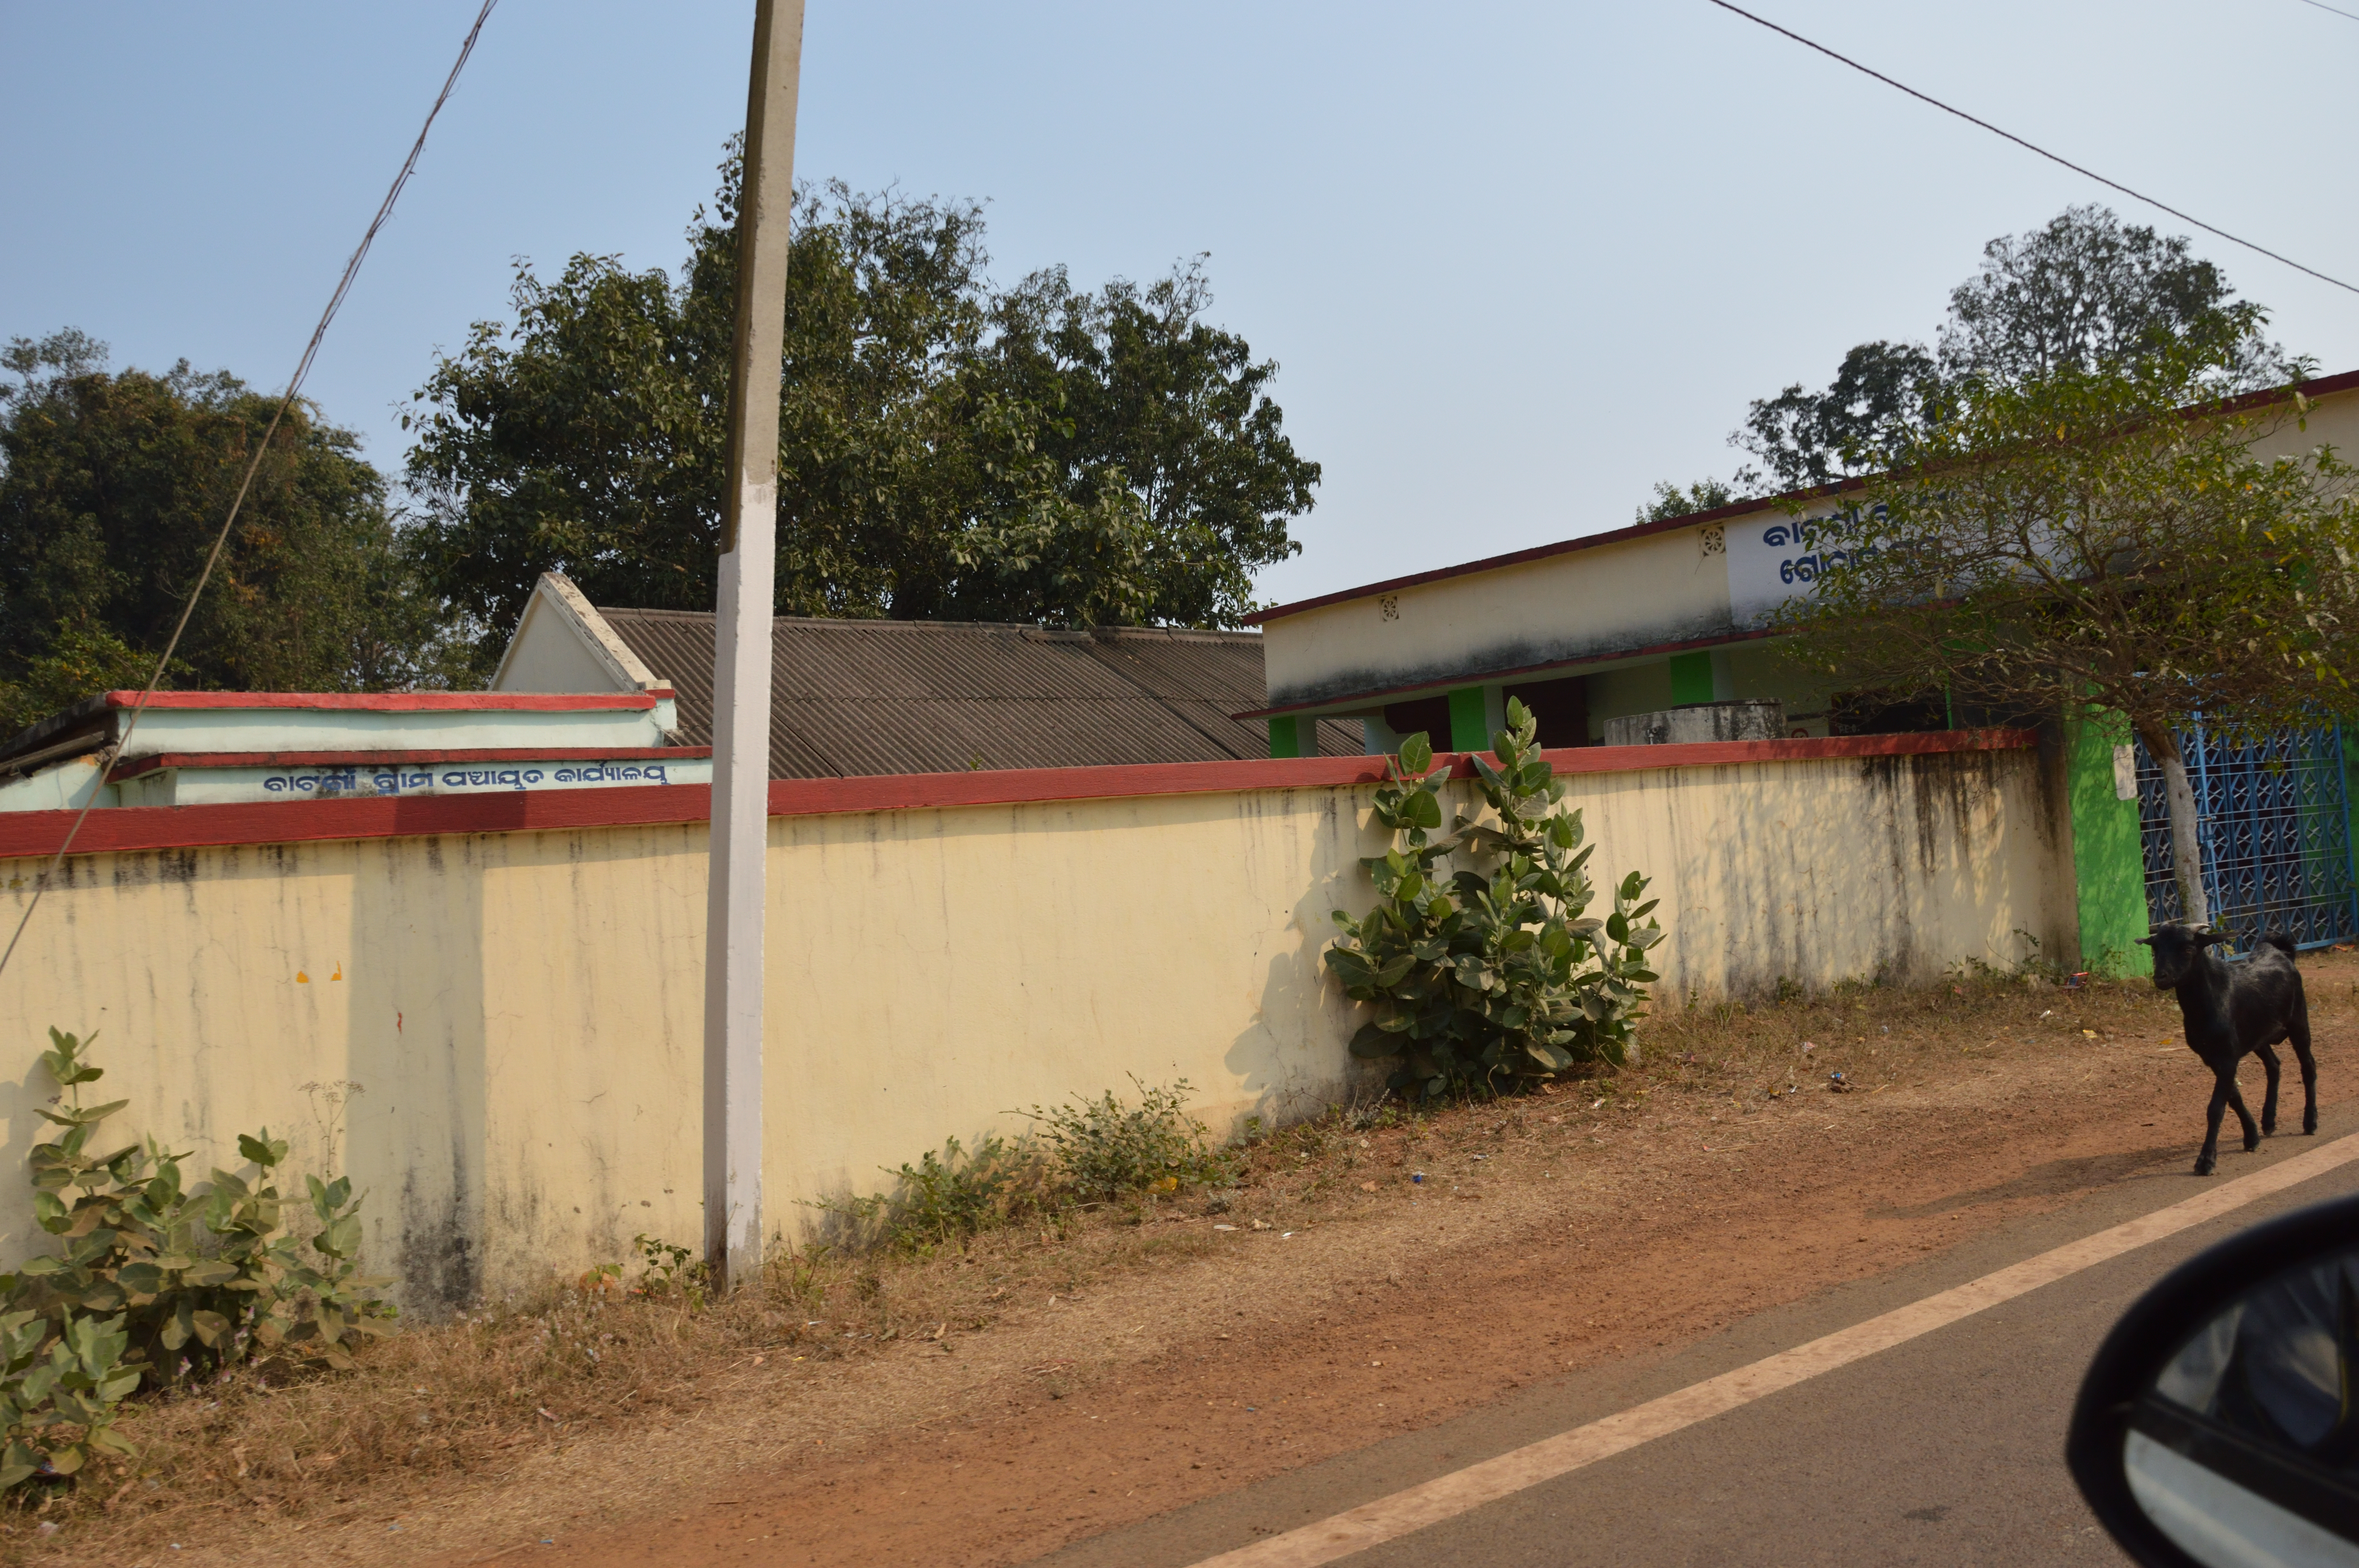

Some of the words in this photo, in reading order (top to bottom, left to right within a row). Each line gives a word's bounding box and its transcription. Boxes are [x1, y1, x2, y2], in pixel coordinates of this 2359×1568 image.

[260, 762, 364, 798] ବାଟଗାଁ
[368, 765, 438, 800] ଗ୍ରାମ
[439, 760, 547, 793] ପଞ୍ଚାୟତ
[552, 757, 673, 788] କାର୍ଯ୍ୟାଳୟ